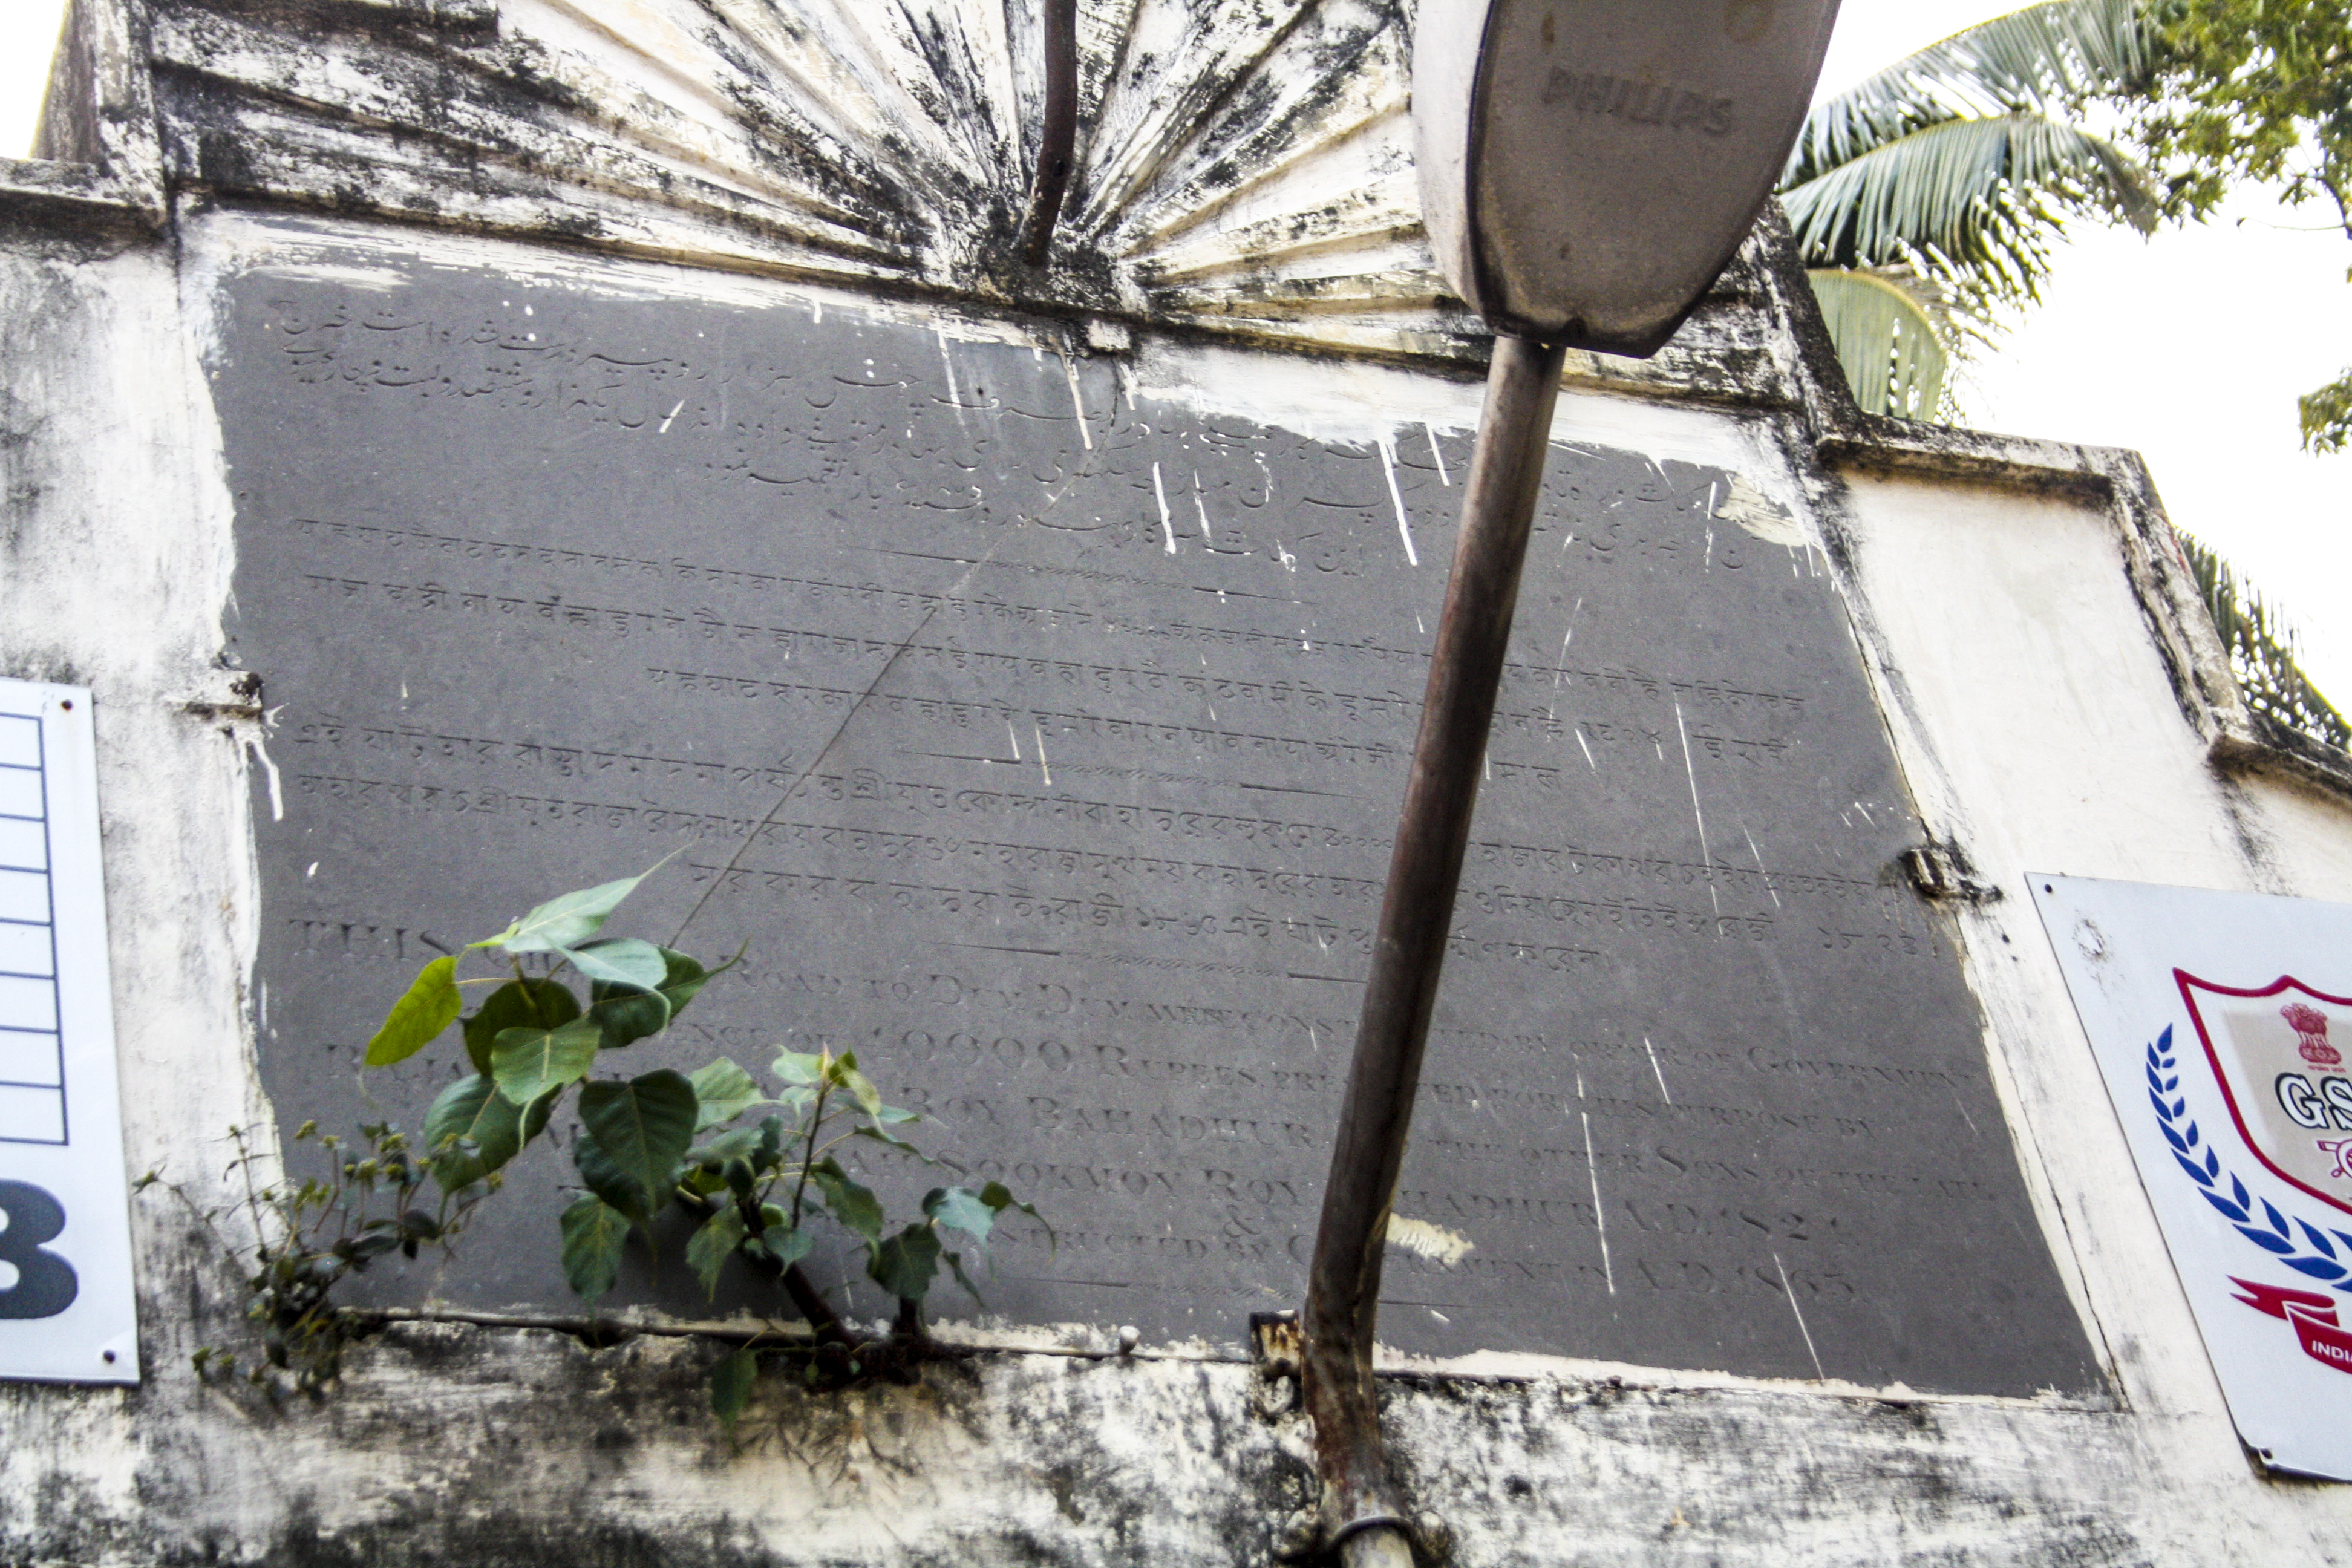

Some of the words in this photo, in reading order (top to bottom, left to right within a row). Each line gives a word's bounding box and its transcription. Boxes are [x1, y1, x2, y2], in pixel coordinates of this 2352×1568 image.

[1532, 54, 1743, 142] PHILIPS
[288, 693, 358, 756] এই
[720, 745, 823, 806] পর্য্য
[813, 759, 957, 822] শুশ্রীযুত
[941, 776, 1159, 836] কোম্পানীরা হা
[1053, 835, 1195, 890] জাসুখময়
[1462, 824, 1636, 887] হাজার টাকা
[1625, 846, 1769, 903] খার চাহ ইয়া
[2261, 1054, 2348, 1138] GS